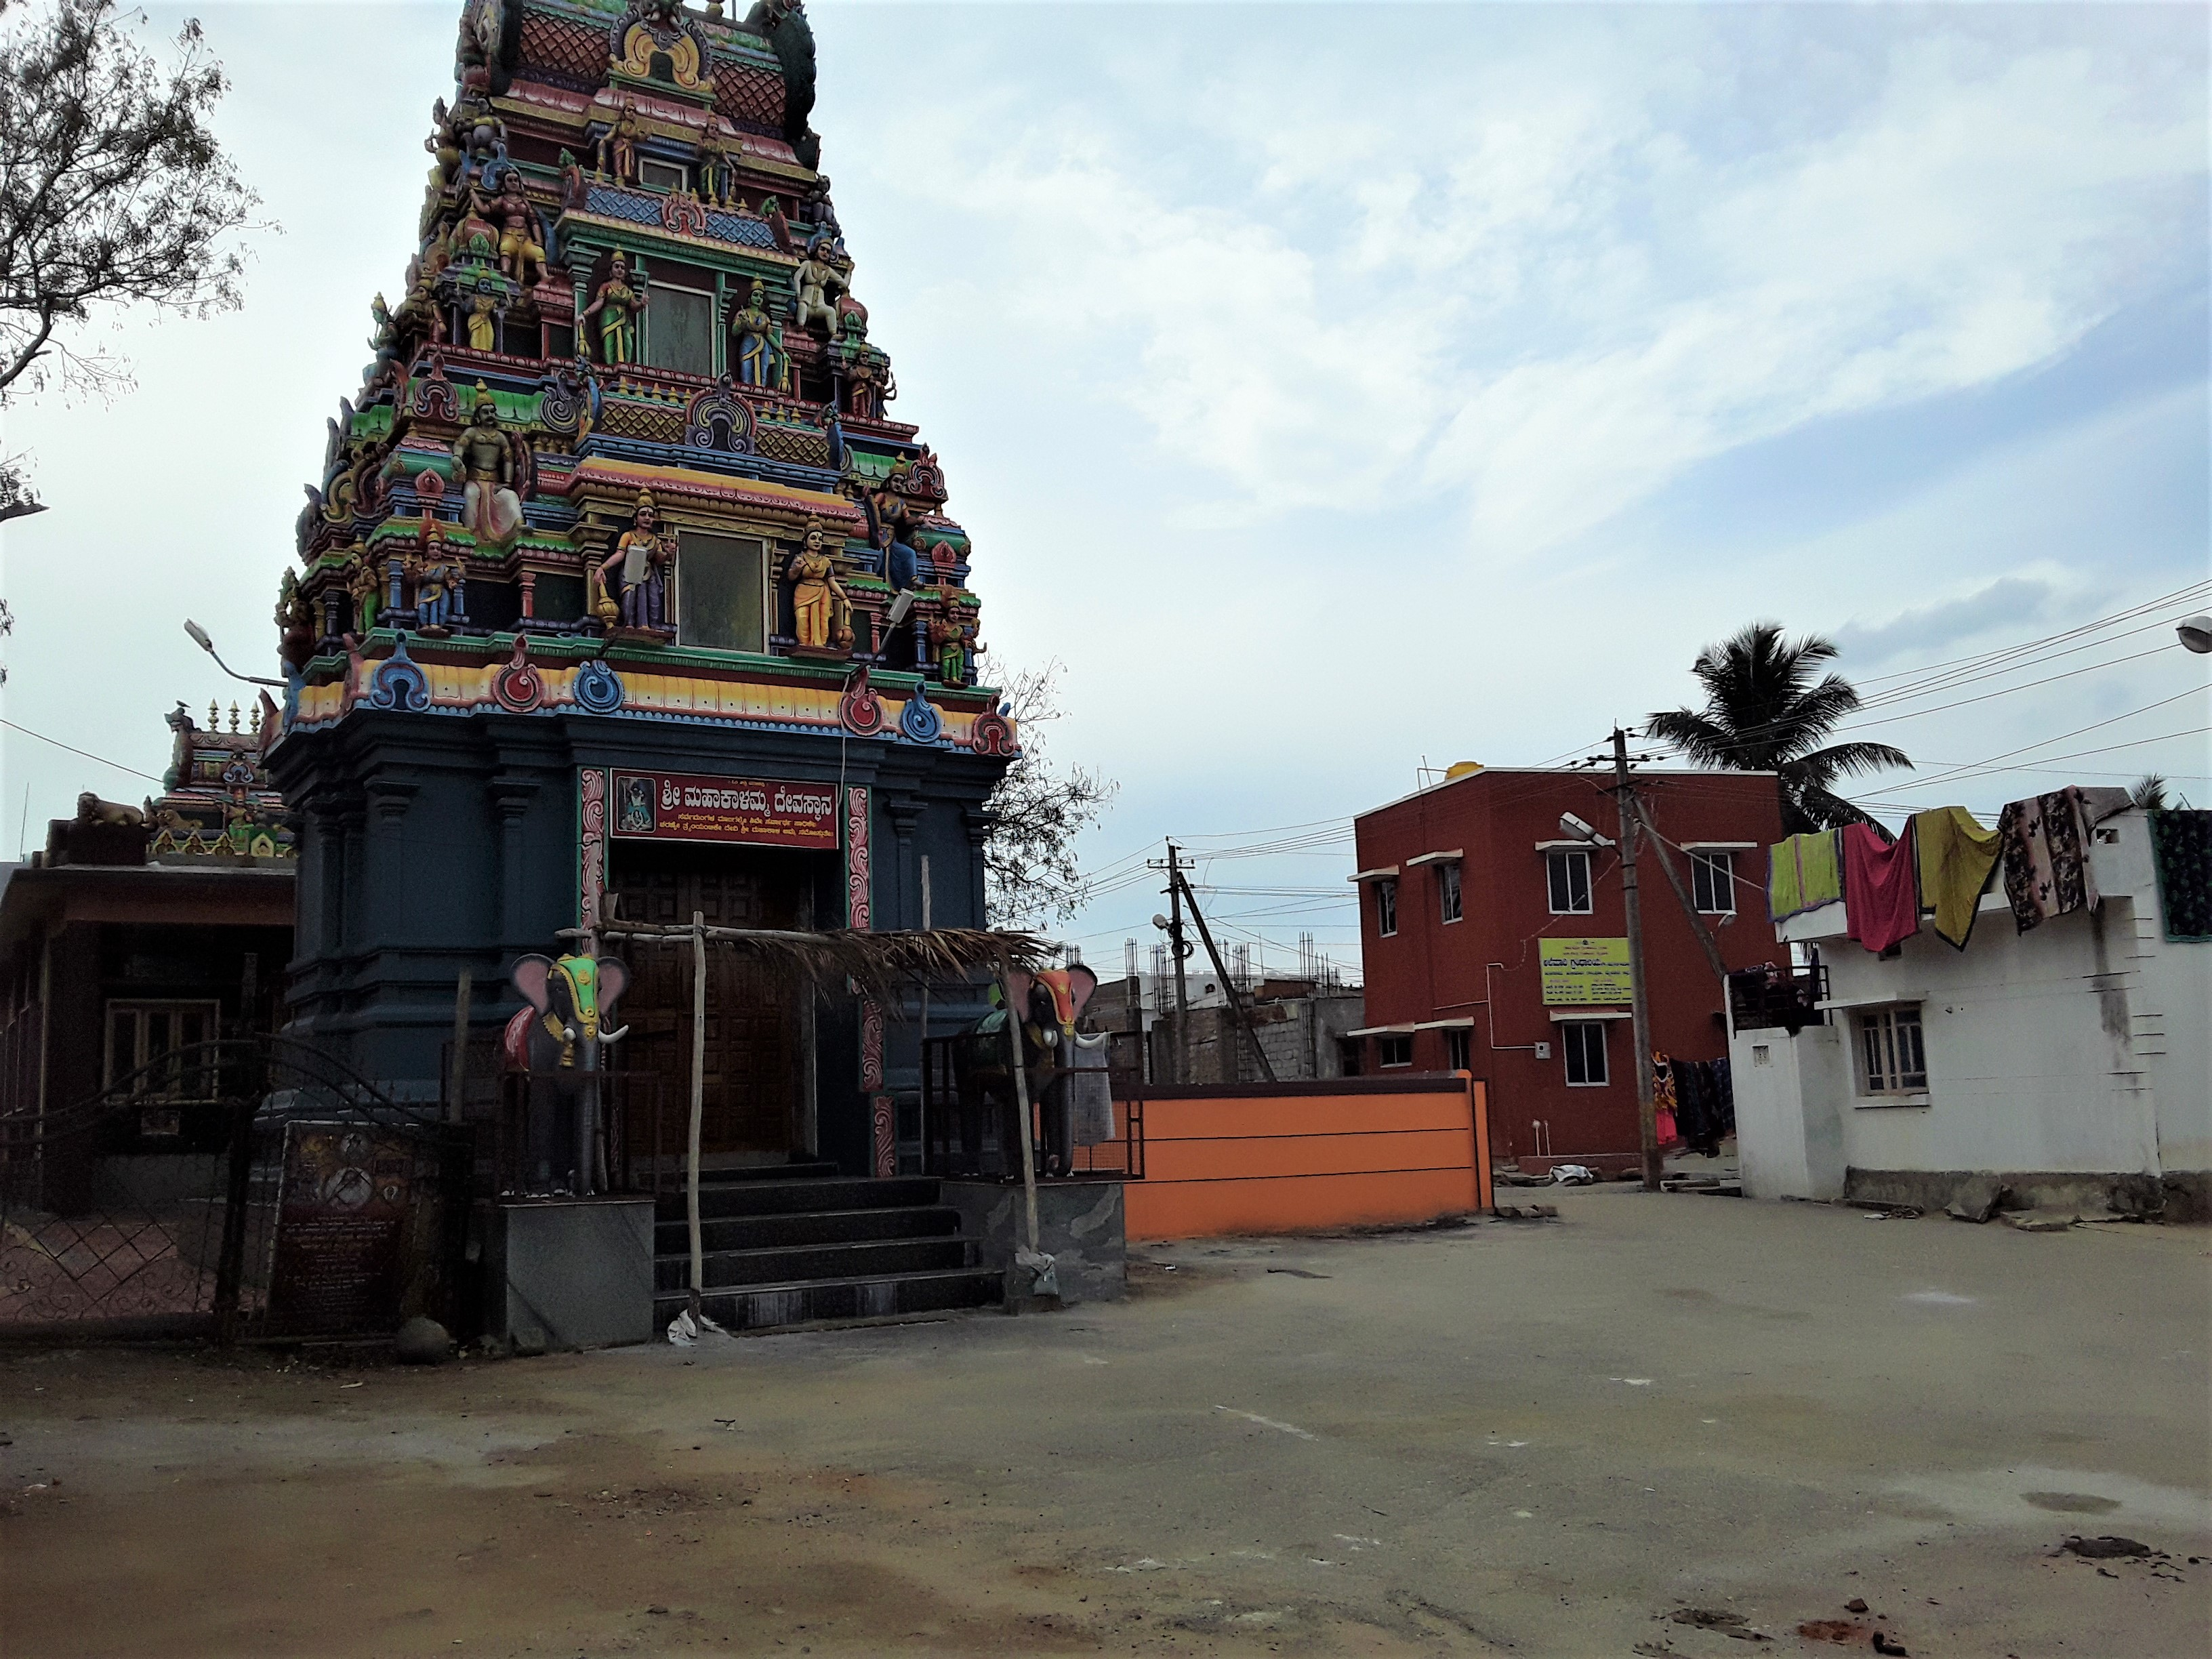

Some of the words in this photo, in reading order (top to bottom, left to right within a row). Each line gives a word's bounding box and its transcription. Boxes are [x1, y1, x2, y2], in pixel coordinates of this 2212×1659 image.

[659, 773, 682, 813] ಶ್ರೀ
[681, 781, 773, 820] ಮಹಾಕಾಳಮ್ಮ
[766, 782, 835, 824] ದೇವಸ್ಥಾನ
[655, 815, 683, 832] ಠರನ್ಯೇ
[722, 821, 741, 834] deo
[737, 825, 752, 836] ಶ್ರೀ
[750, 823, 783, 836] ಮಹಾಕಾಳ